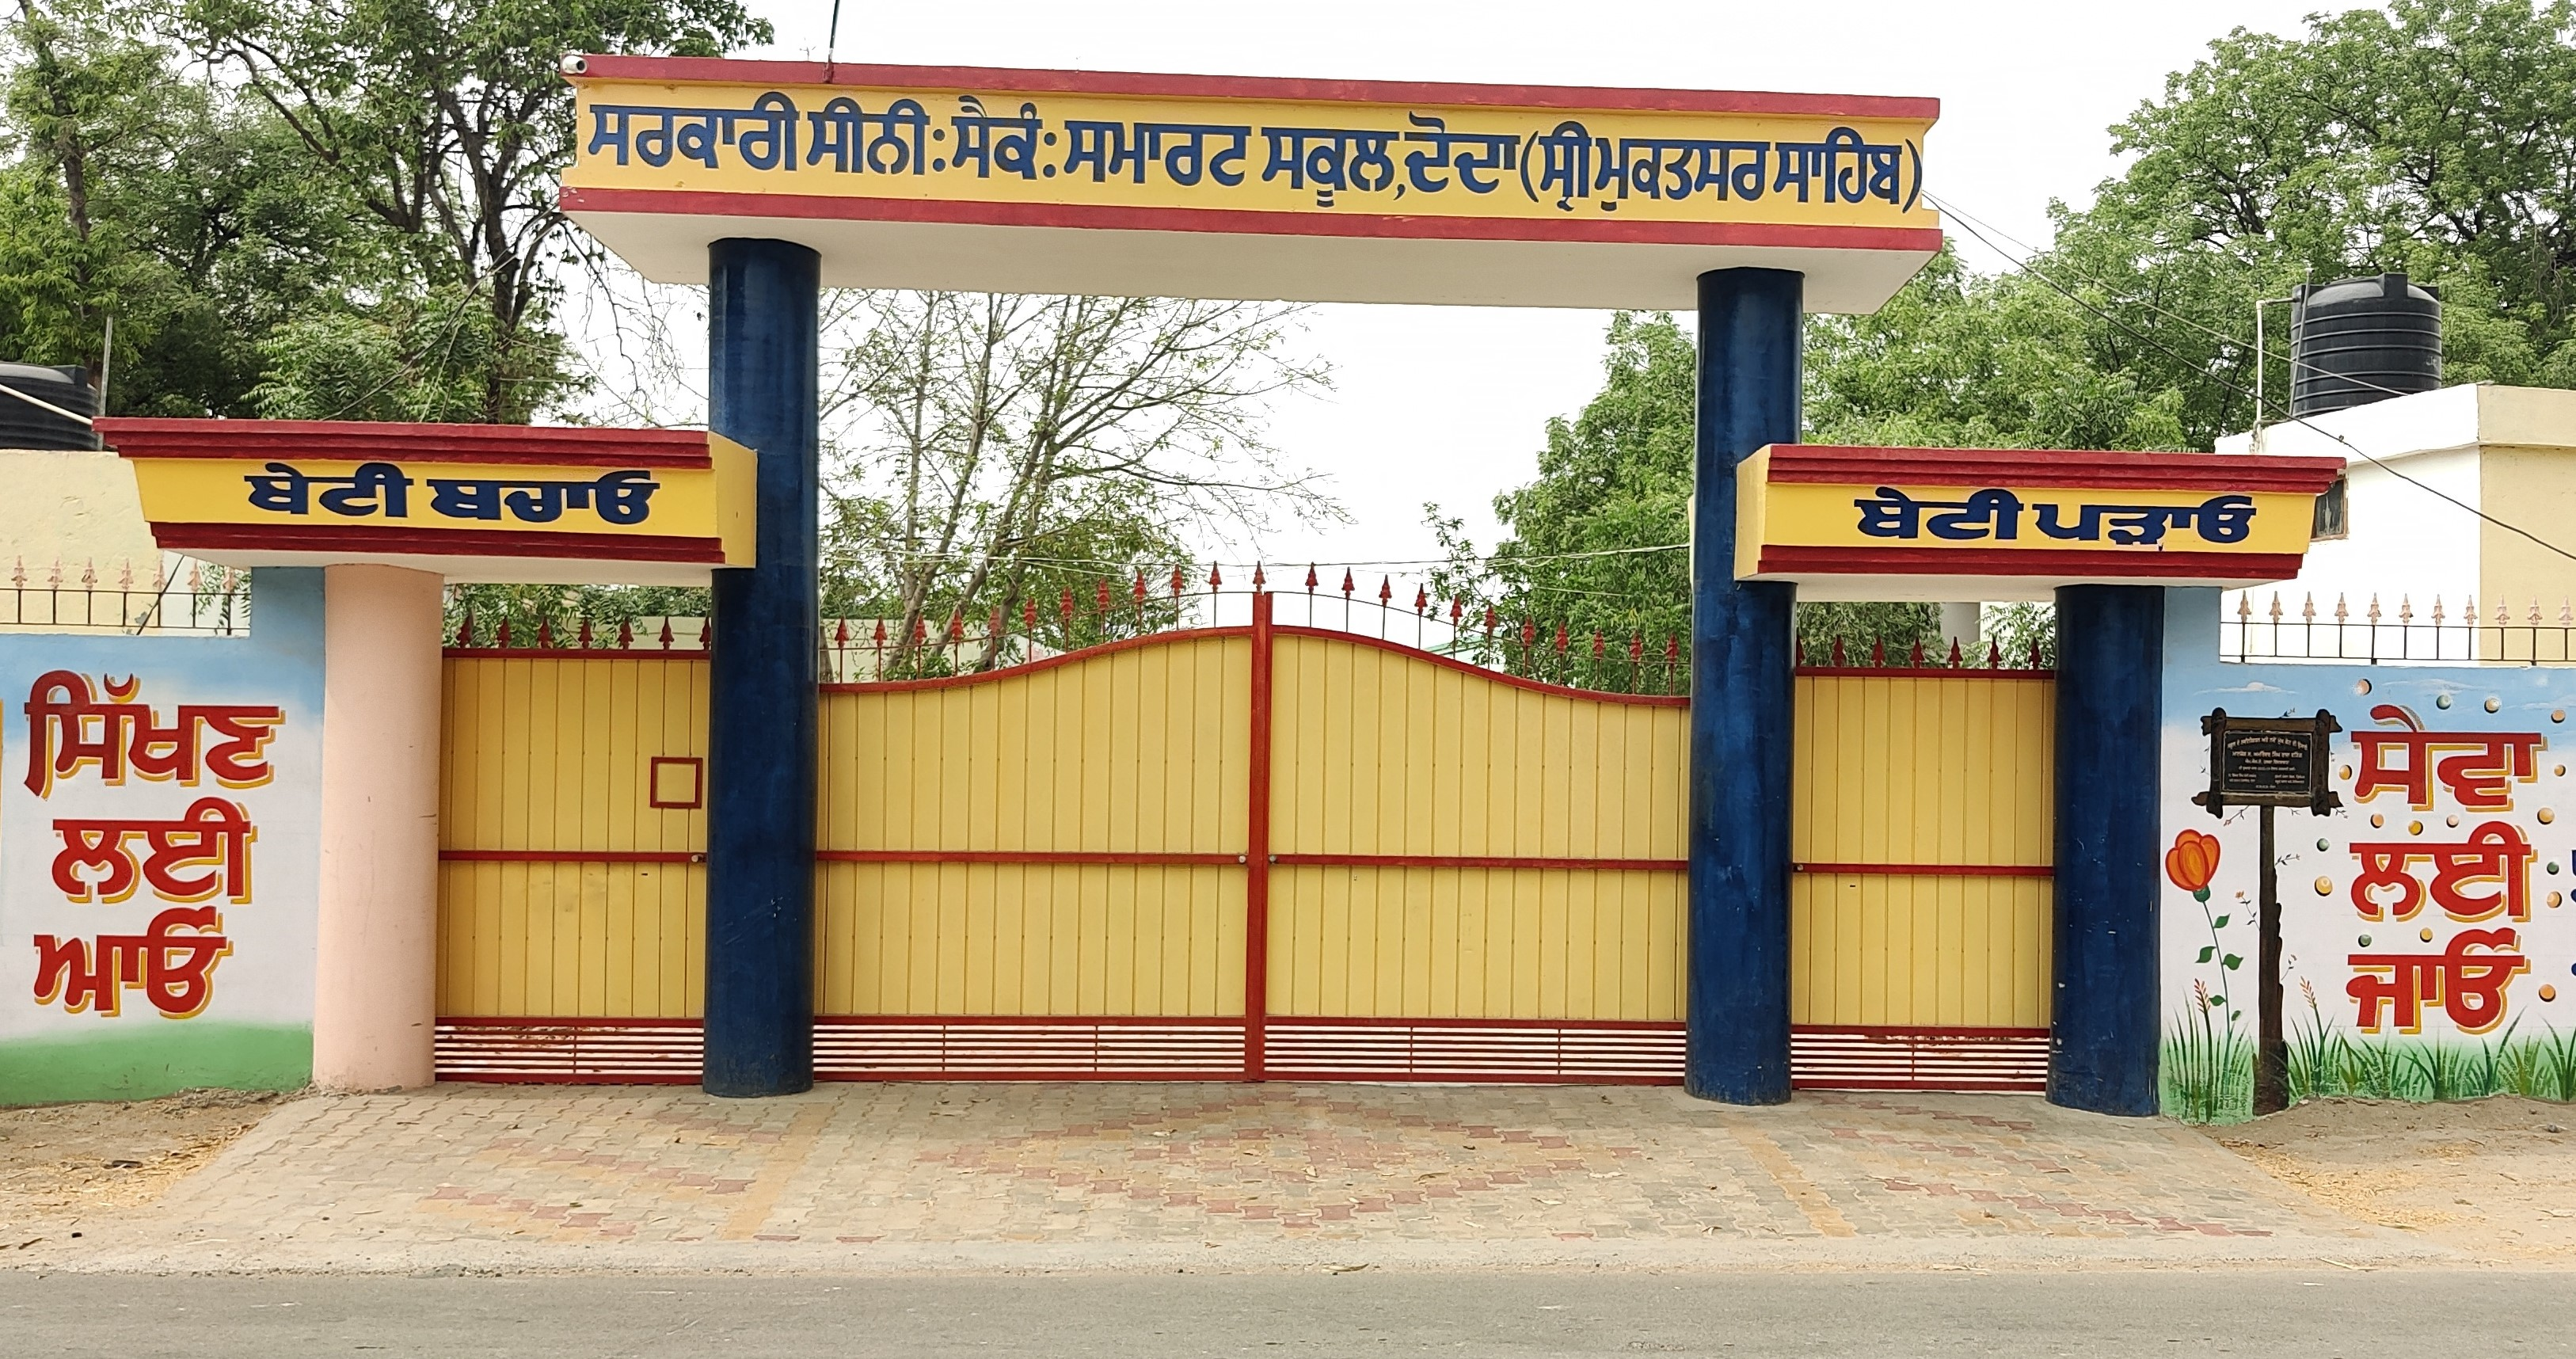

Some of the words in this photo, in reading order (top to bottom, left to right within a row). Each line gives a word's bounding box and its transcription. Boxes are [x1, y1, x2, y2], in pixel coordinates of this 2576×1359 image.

[584, 87, 805, 177] ਸਰਕਾਰੀ
[804, 88, 950, 188] ਸੀਨੀਃ
[944, 89, 1060, 188] ਸੈਕੰ:
[1058, 113, 1257, 194] ਸਮਾਰਟ
[1254, 115, 1402, 215] ਸਕੂਲ
[1388, 105, 1524, 203] ਦੋਦਾ
[1535, 111, 1595, 218] ਸੀ੍
[1587, 126, 1773, 219] ਮੁਕਤਸਰ
[1767, 118, 1912, 212] ਸਾਹਿਬ
[234, 456, 420, 523] घेटी
[423, 463, 669, 529] ਯਚਾਓ
[1840, 482, 2030, 546] ਬੇਟੀ
[2028, 491, 2265, 550] ਪੜਾਓ
[10, 658, 295, 809] ਸਿੱਖਣ
[2345, 696, 2552, 817] ਸੇਵਾ
[30, 791, 266, 917] ਲਈ
[2335, 817, 2544, 932] ਲਈ
[17, 904, 245, 1033] ਆਓੇ
[2332, 924, 2540, 1041] ਜਾਓ